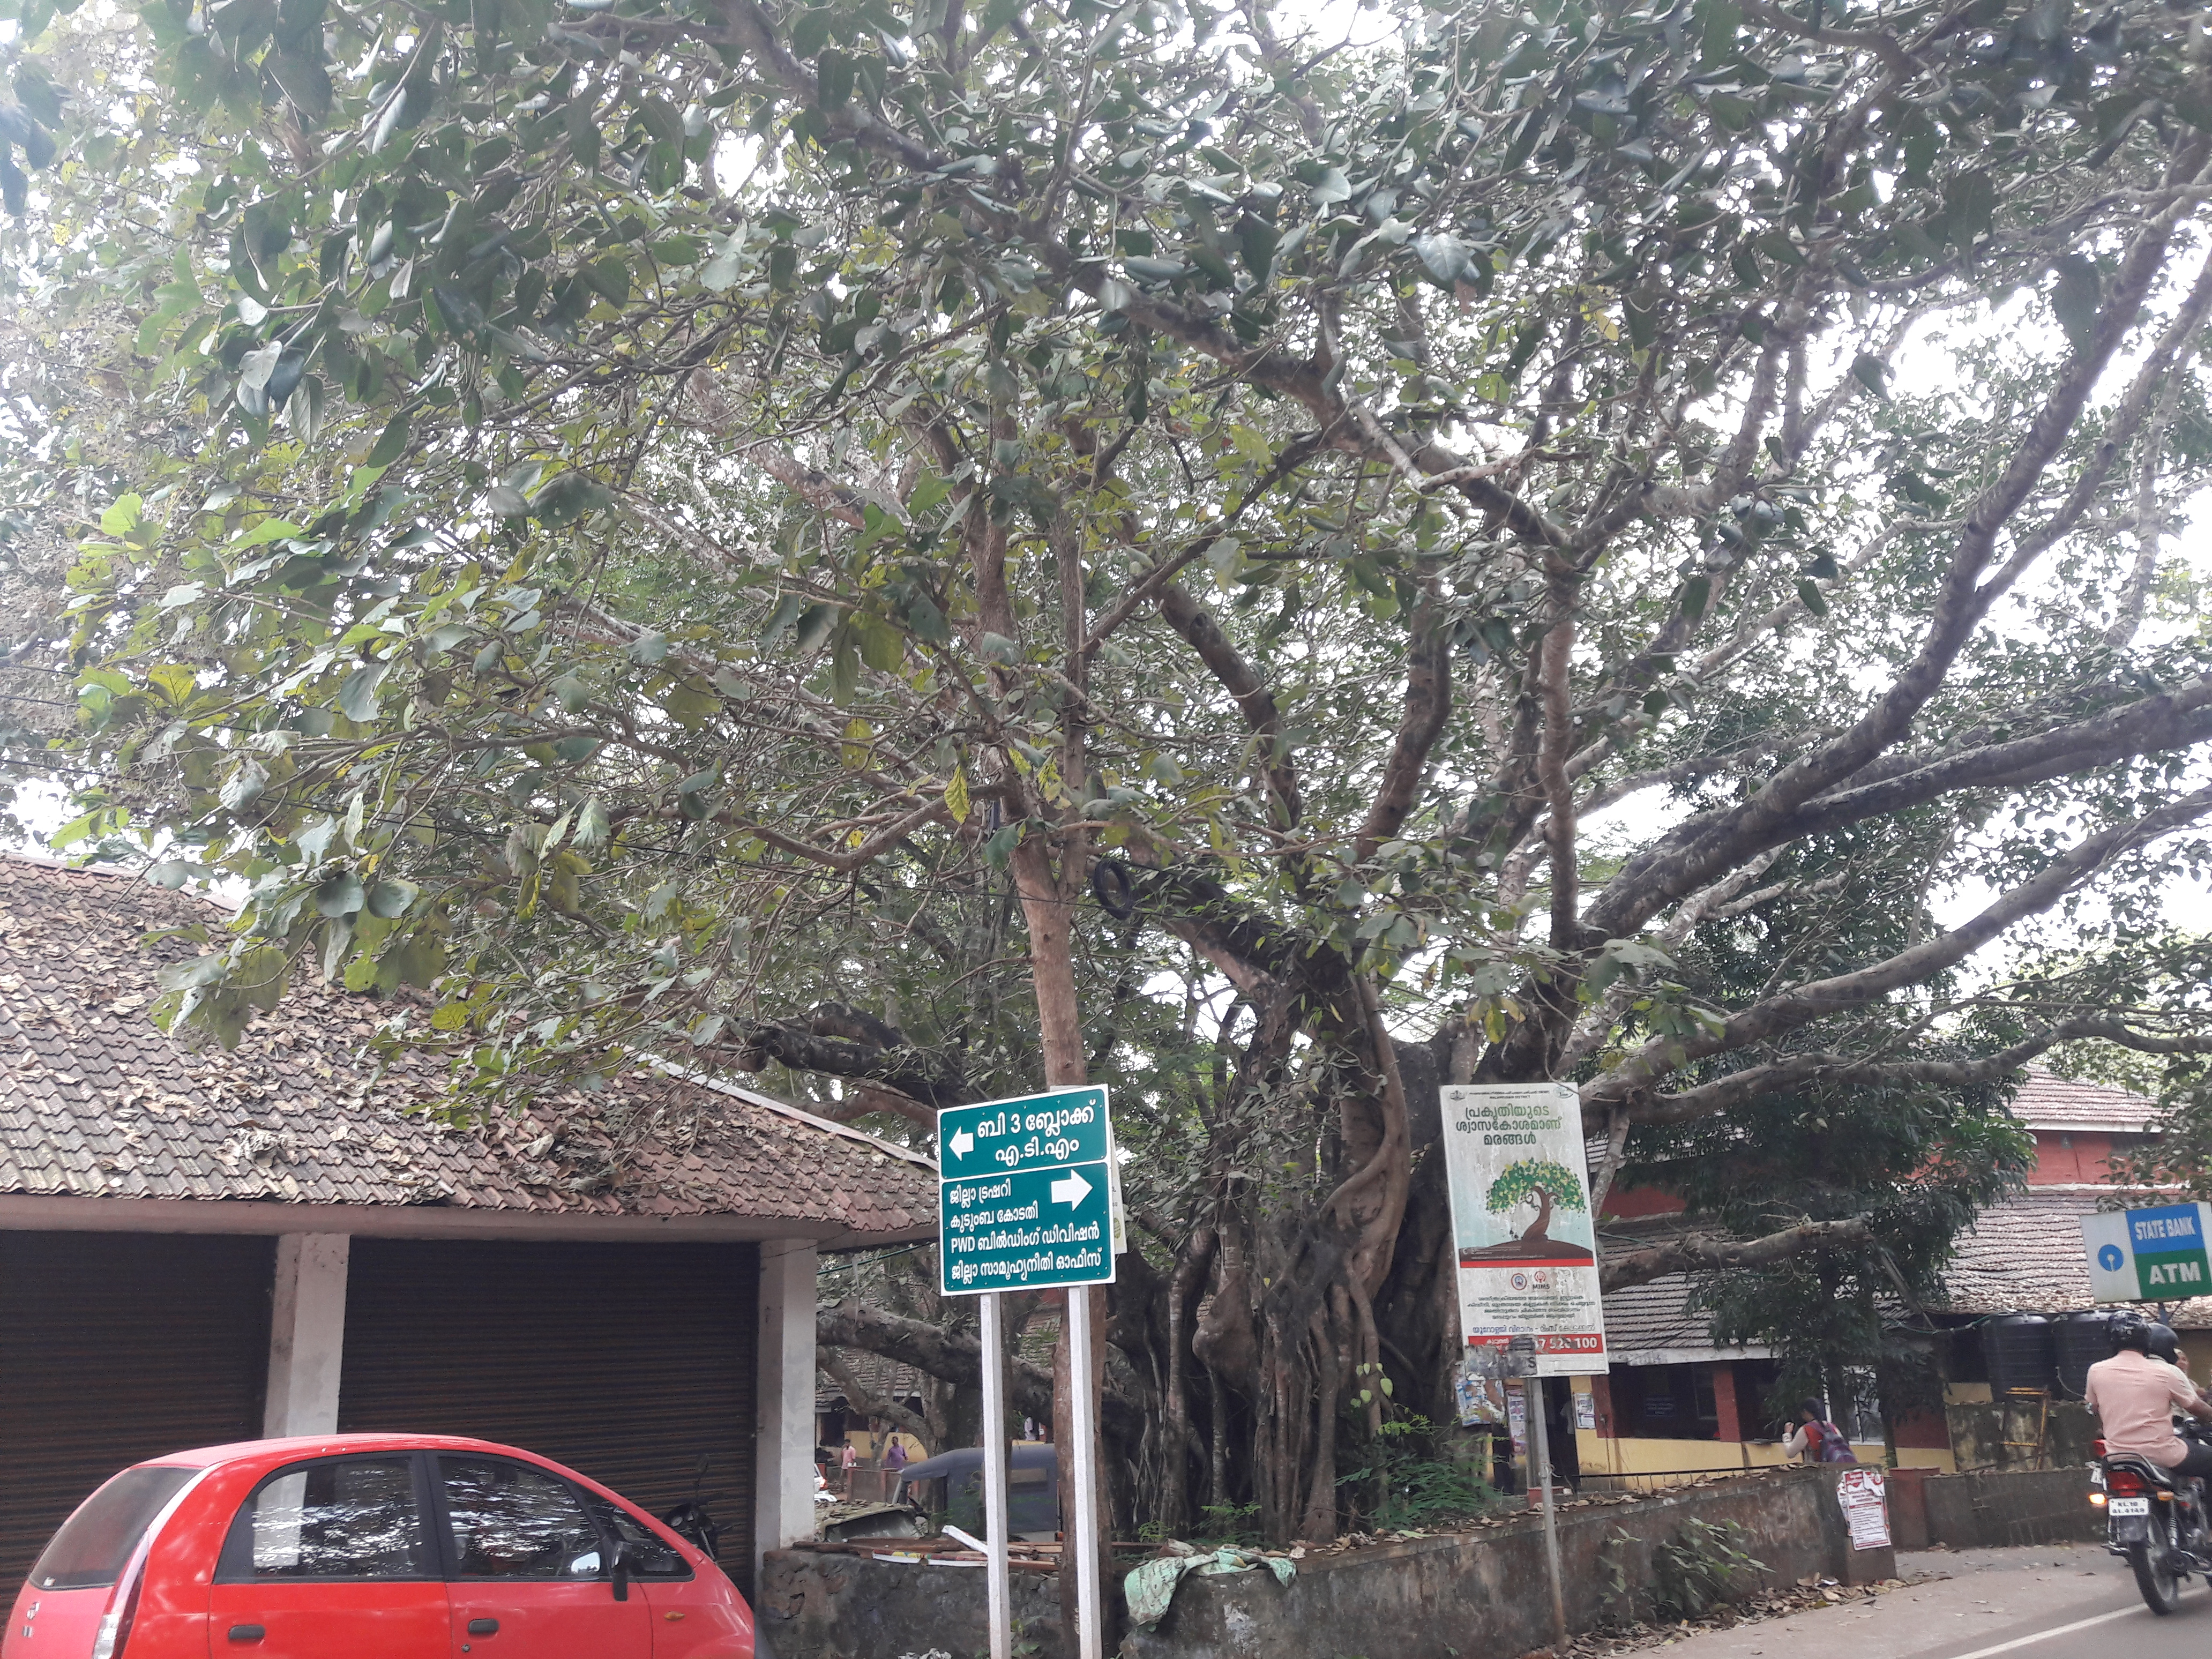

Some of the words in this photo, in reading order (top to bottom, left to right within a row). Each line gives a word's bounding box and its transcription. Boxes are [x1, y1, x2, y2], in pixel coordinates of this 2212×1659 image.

[974, 1109, 1008, 1140] ബി
[1006, 1110, 1023, 1137] 3
[1022, 1097, 1099, 1139] ബ്ലോക്ക്
[1463, 1101, 1552, 1123] പ്രകൃതിയുടെ
[1452, 1111, 1565, 1135] ശ്വാസകോശമാണ്
[993, 1131, 1083, 1170] എ.ടി.എം
[1481, 1129, 1539, 1148] മരങ്ങൾ
[947, 1175, 1015, 1209] ജില്ലാട്രഷറി
[949, 1232, 977, 1256] PWD
[946, 1254, 980, 1289] ജില്ലാ
[946, 1208, 997, 1234] കുടുംബ
[976, 1224, 1043, 1251] ബിൽഡിംഗ്
[994, 1195, 1040, 1225] കോടതി
[977, 1248, 1057, 1283] സാമൂഹ്യനീതി
[1037, 1218, 1102, 1245] ഡിവിഷൻ
[1054, 1243, 1105, 1272] ഓഫീസ്
[2132, 1217, 2168, 1243] STATE
[2147, 1258, 2203, 1289] ATM
[2164, 1214, 2200, 1240] BANK
[1469, 1324, 1509, 1337] യൂറോളജി